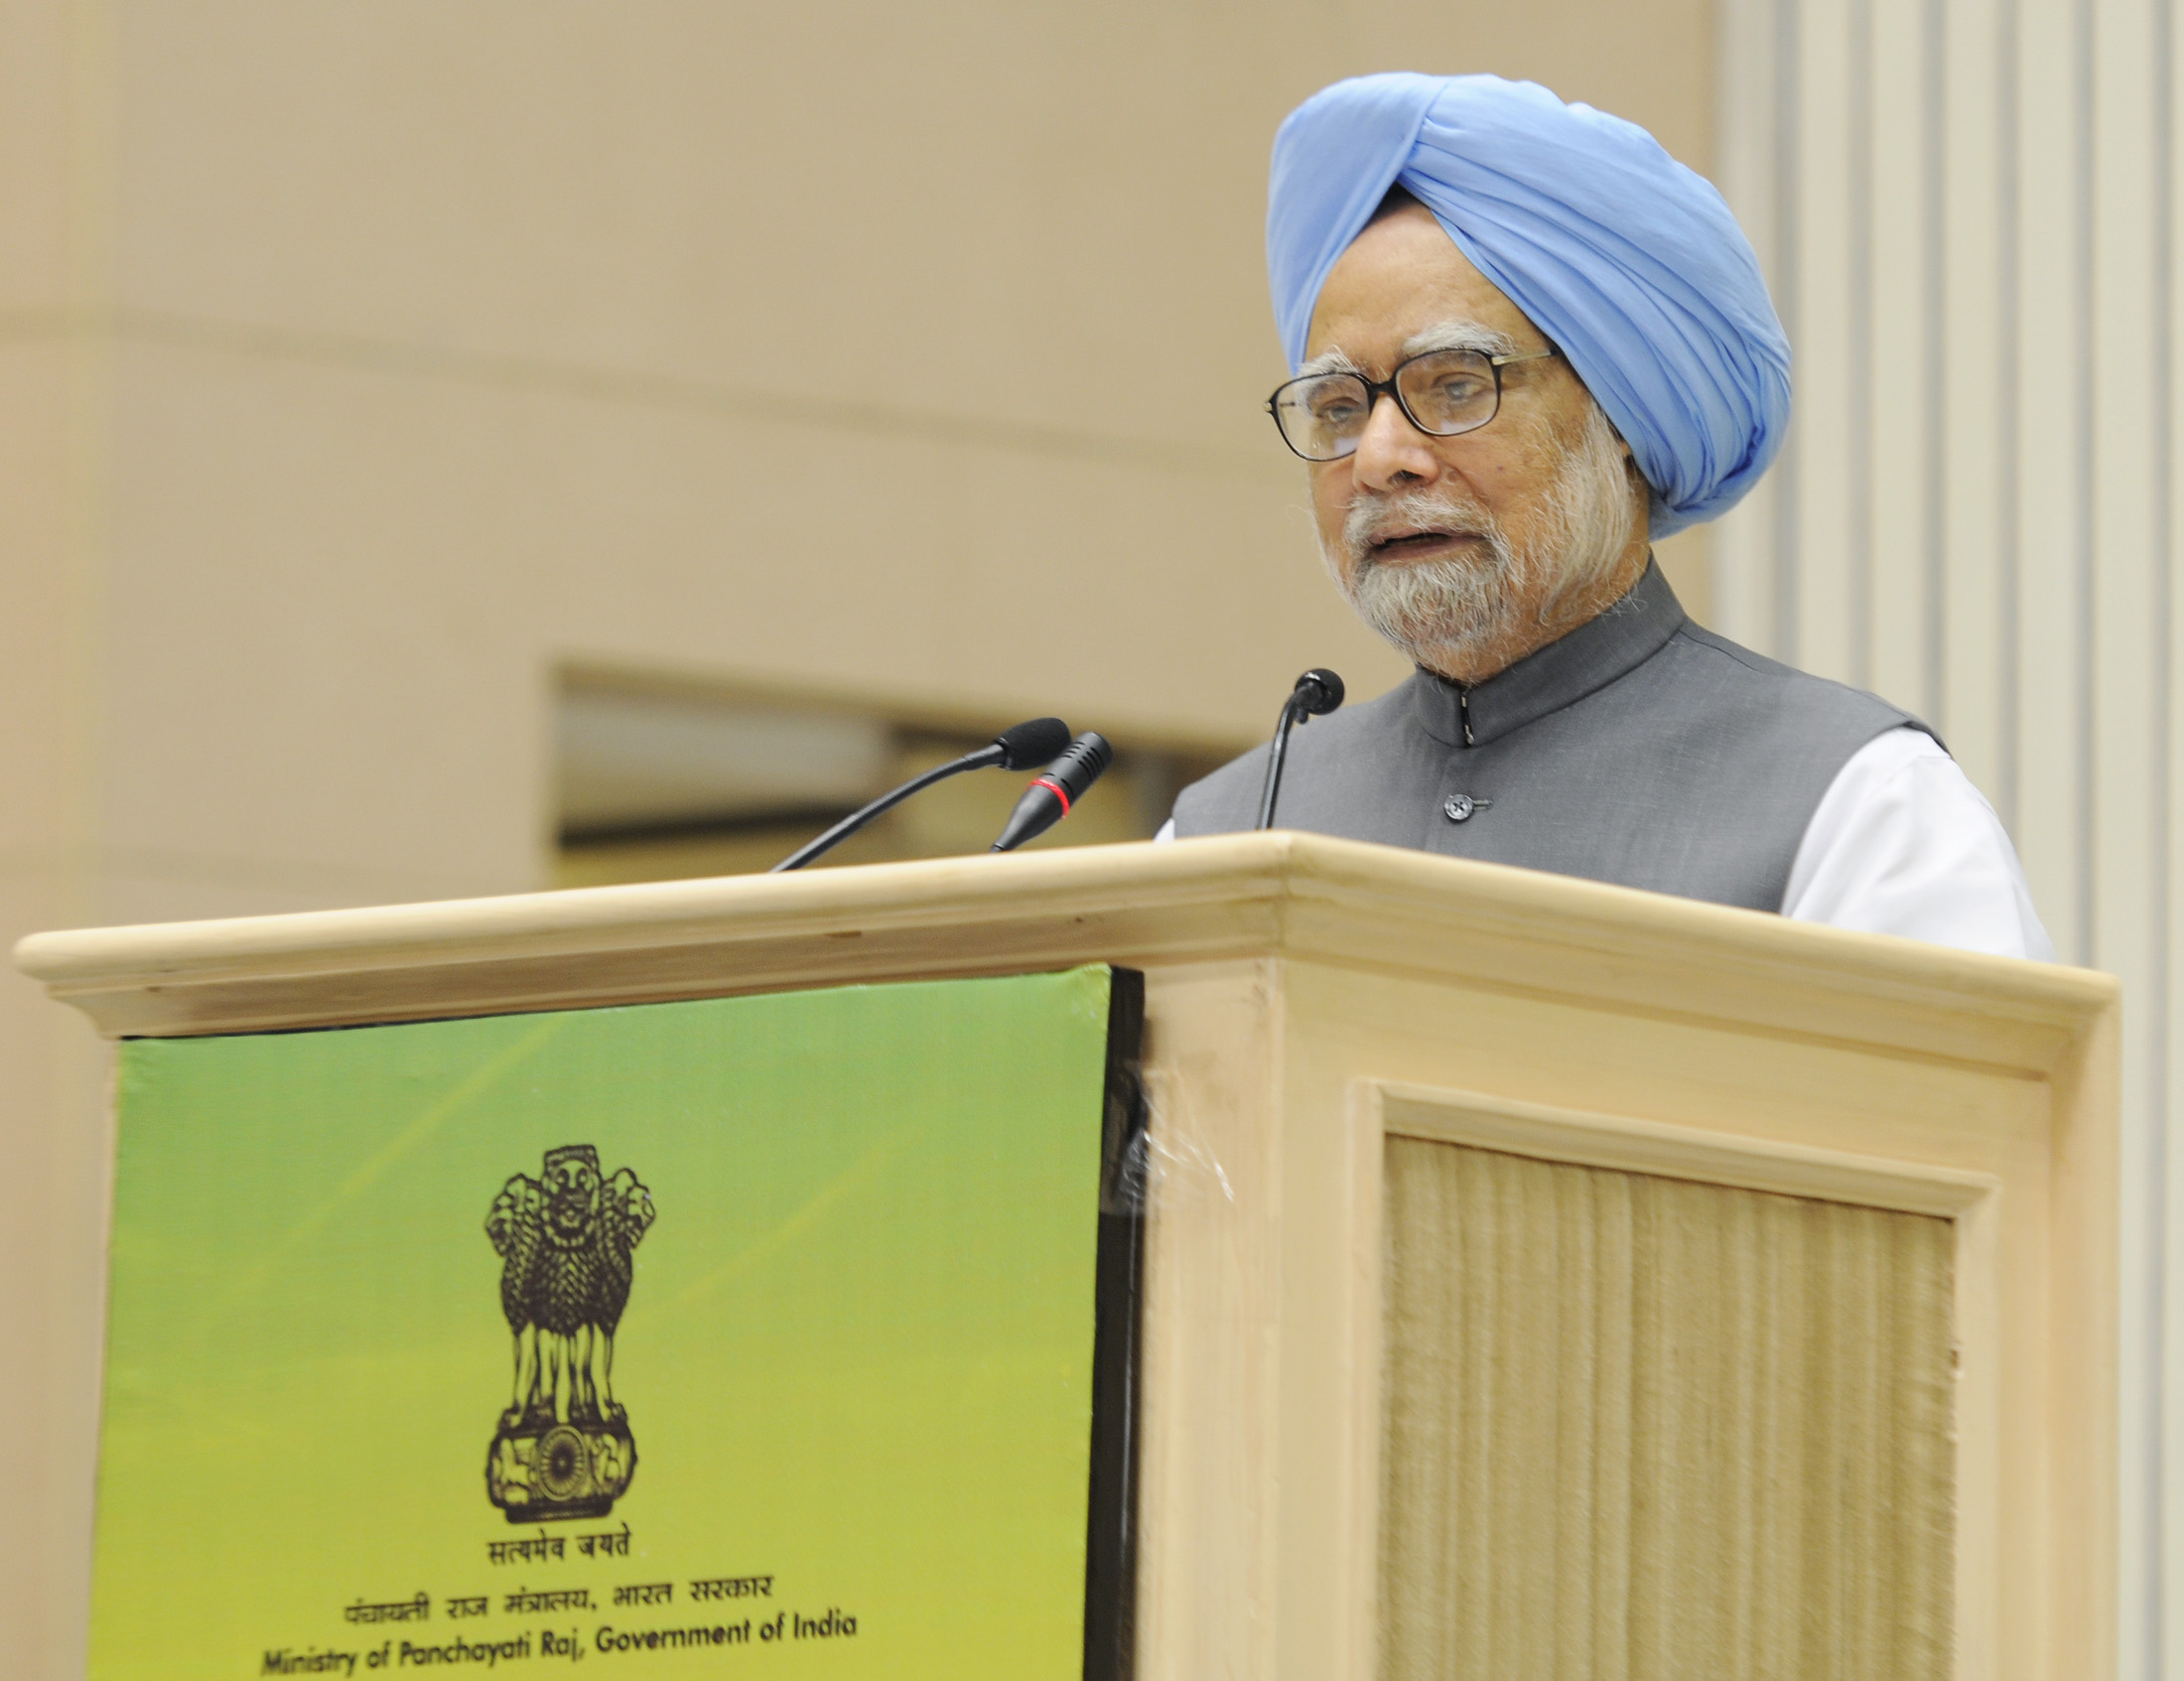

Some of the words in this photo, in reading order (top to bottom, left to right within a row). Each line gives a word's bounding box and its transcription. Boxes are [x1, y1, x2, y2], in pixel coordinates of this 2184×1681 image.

[486, 1525, 567, 1571] सत्यमेव
[569, 1517, 634, 1564] जयते
[255, 1640, 363, 1677] Ministry
[362, 1639, 396, 1671] of
[338, 1588, 437, 1633] पंचायती
[441, 1592, 490, 1624] राज
[399, 1627, 538, 1674] Panchayati
[502, 1581, 592, 1619] मंत्रालय
[535, 1626, 585, 1669] Raj,
[603, 1569, 680, 1619] भारत
[592, 1614, 755, 1663] Government
[680, 1567, 775, 1611] सरकार
[751, 1607, 788, 1648] of
[792, 1605, 861, 1647] India